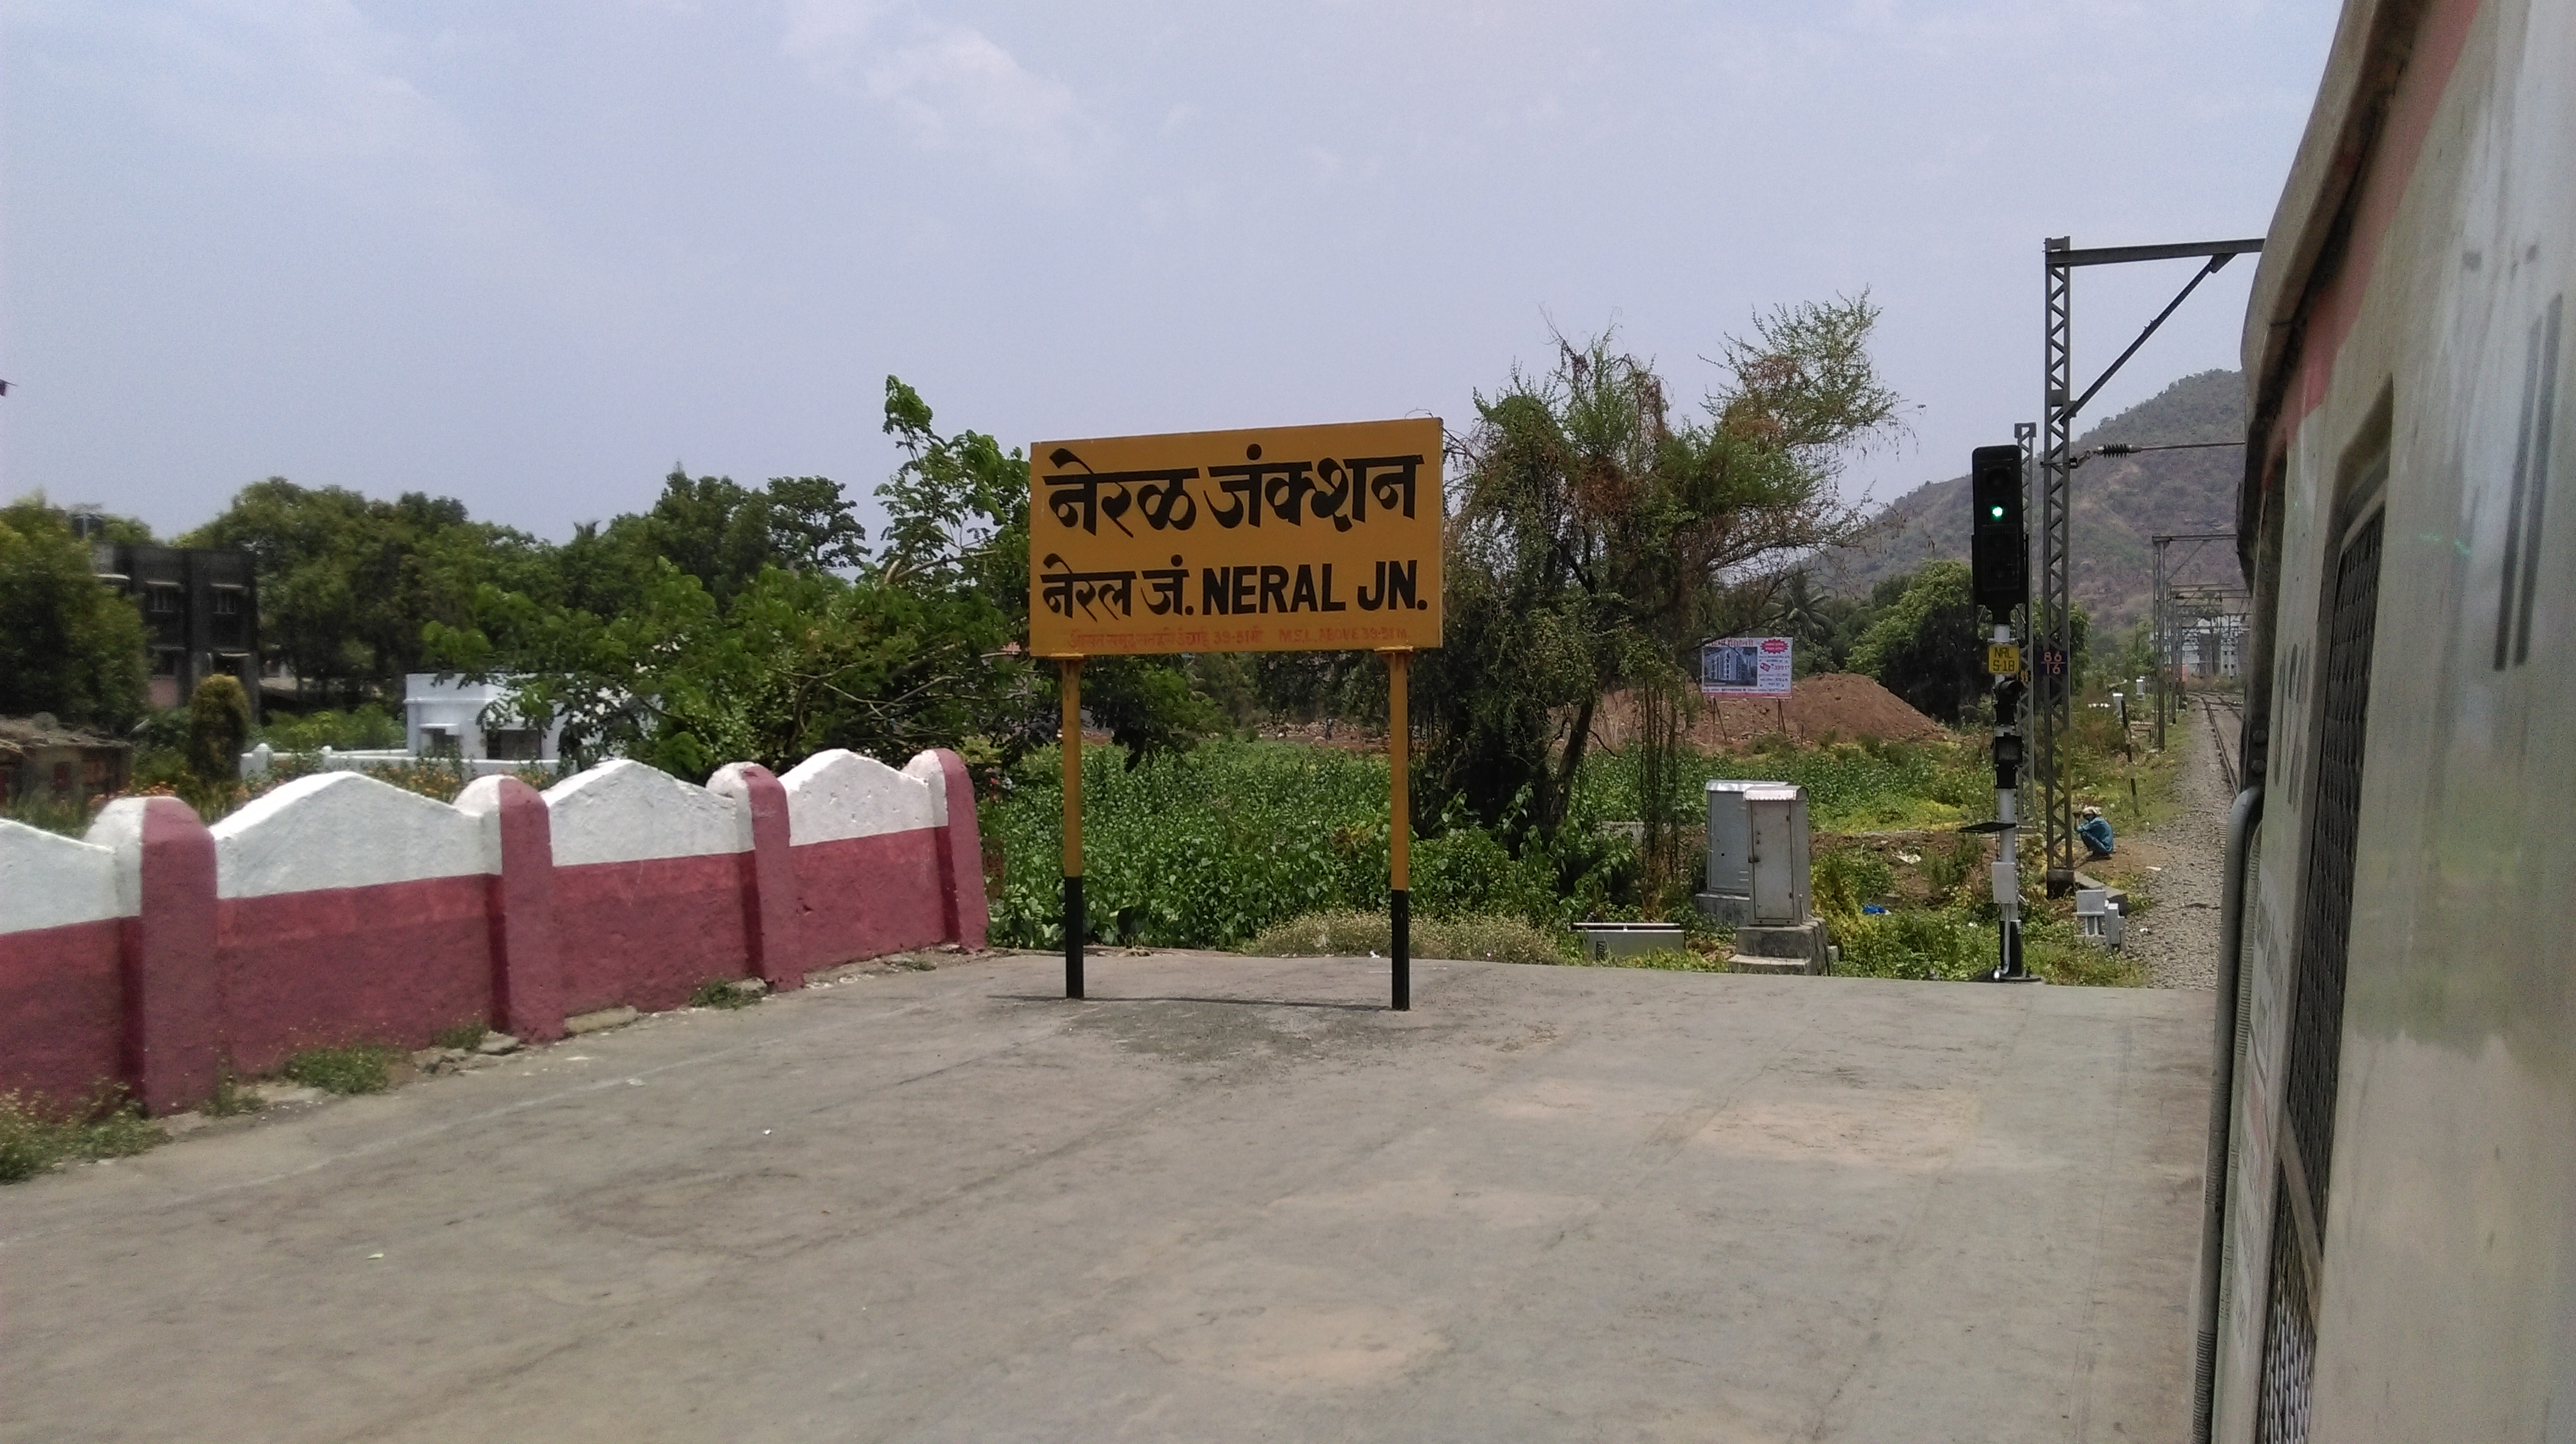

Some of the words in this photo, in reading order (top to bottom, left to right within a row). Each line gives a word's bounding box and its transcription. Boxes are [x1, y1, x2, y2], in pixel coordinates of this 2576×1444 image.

[1033, 427, 1203, 543] नेरळ
[1206, 430, 1427, 541] जंक्शन
[1028, 543, 1139, 624] नेरल
[1138, 548, 1207, 620] जं.
[1197, 553, 1350, 617] NERAL
[1353, 548, 1430, 620] JN.
[1059, 620, 1112, 656] औसत
[1104, 624, 1143, 657] समुद्र